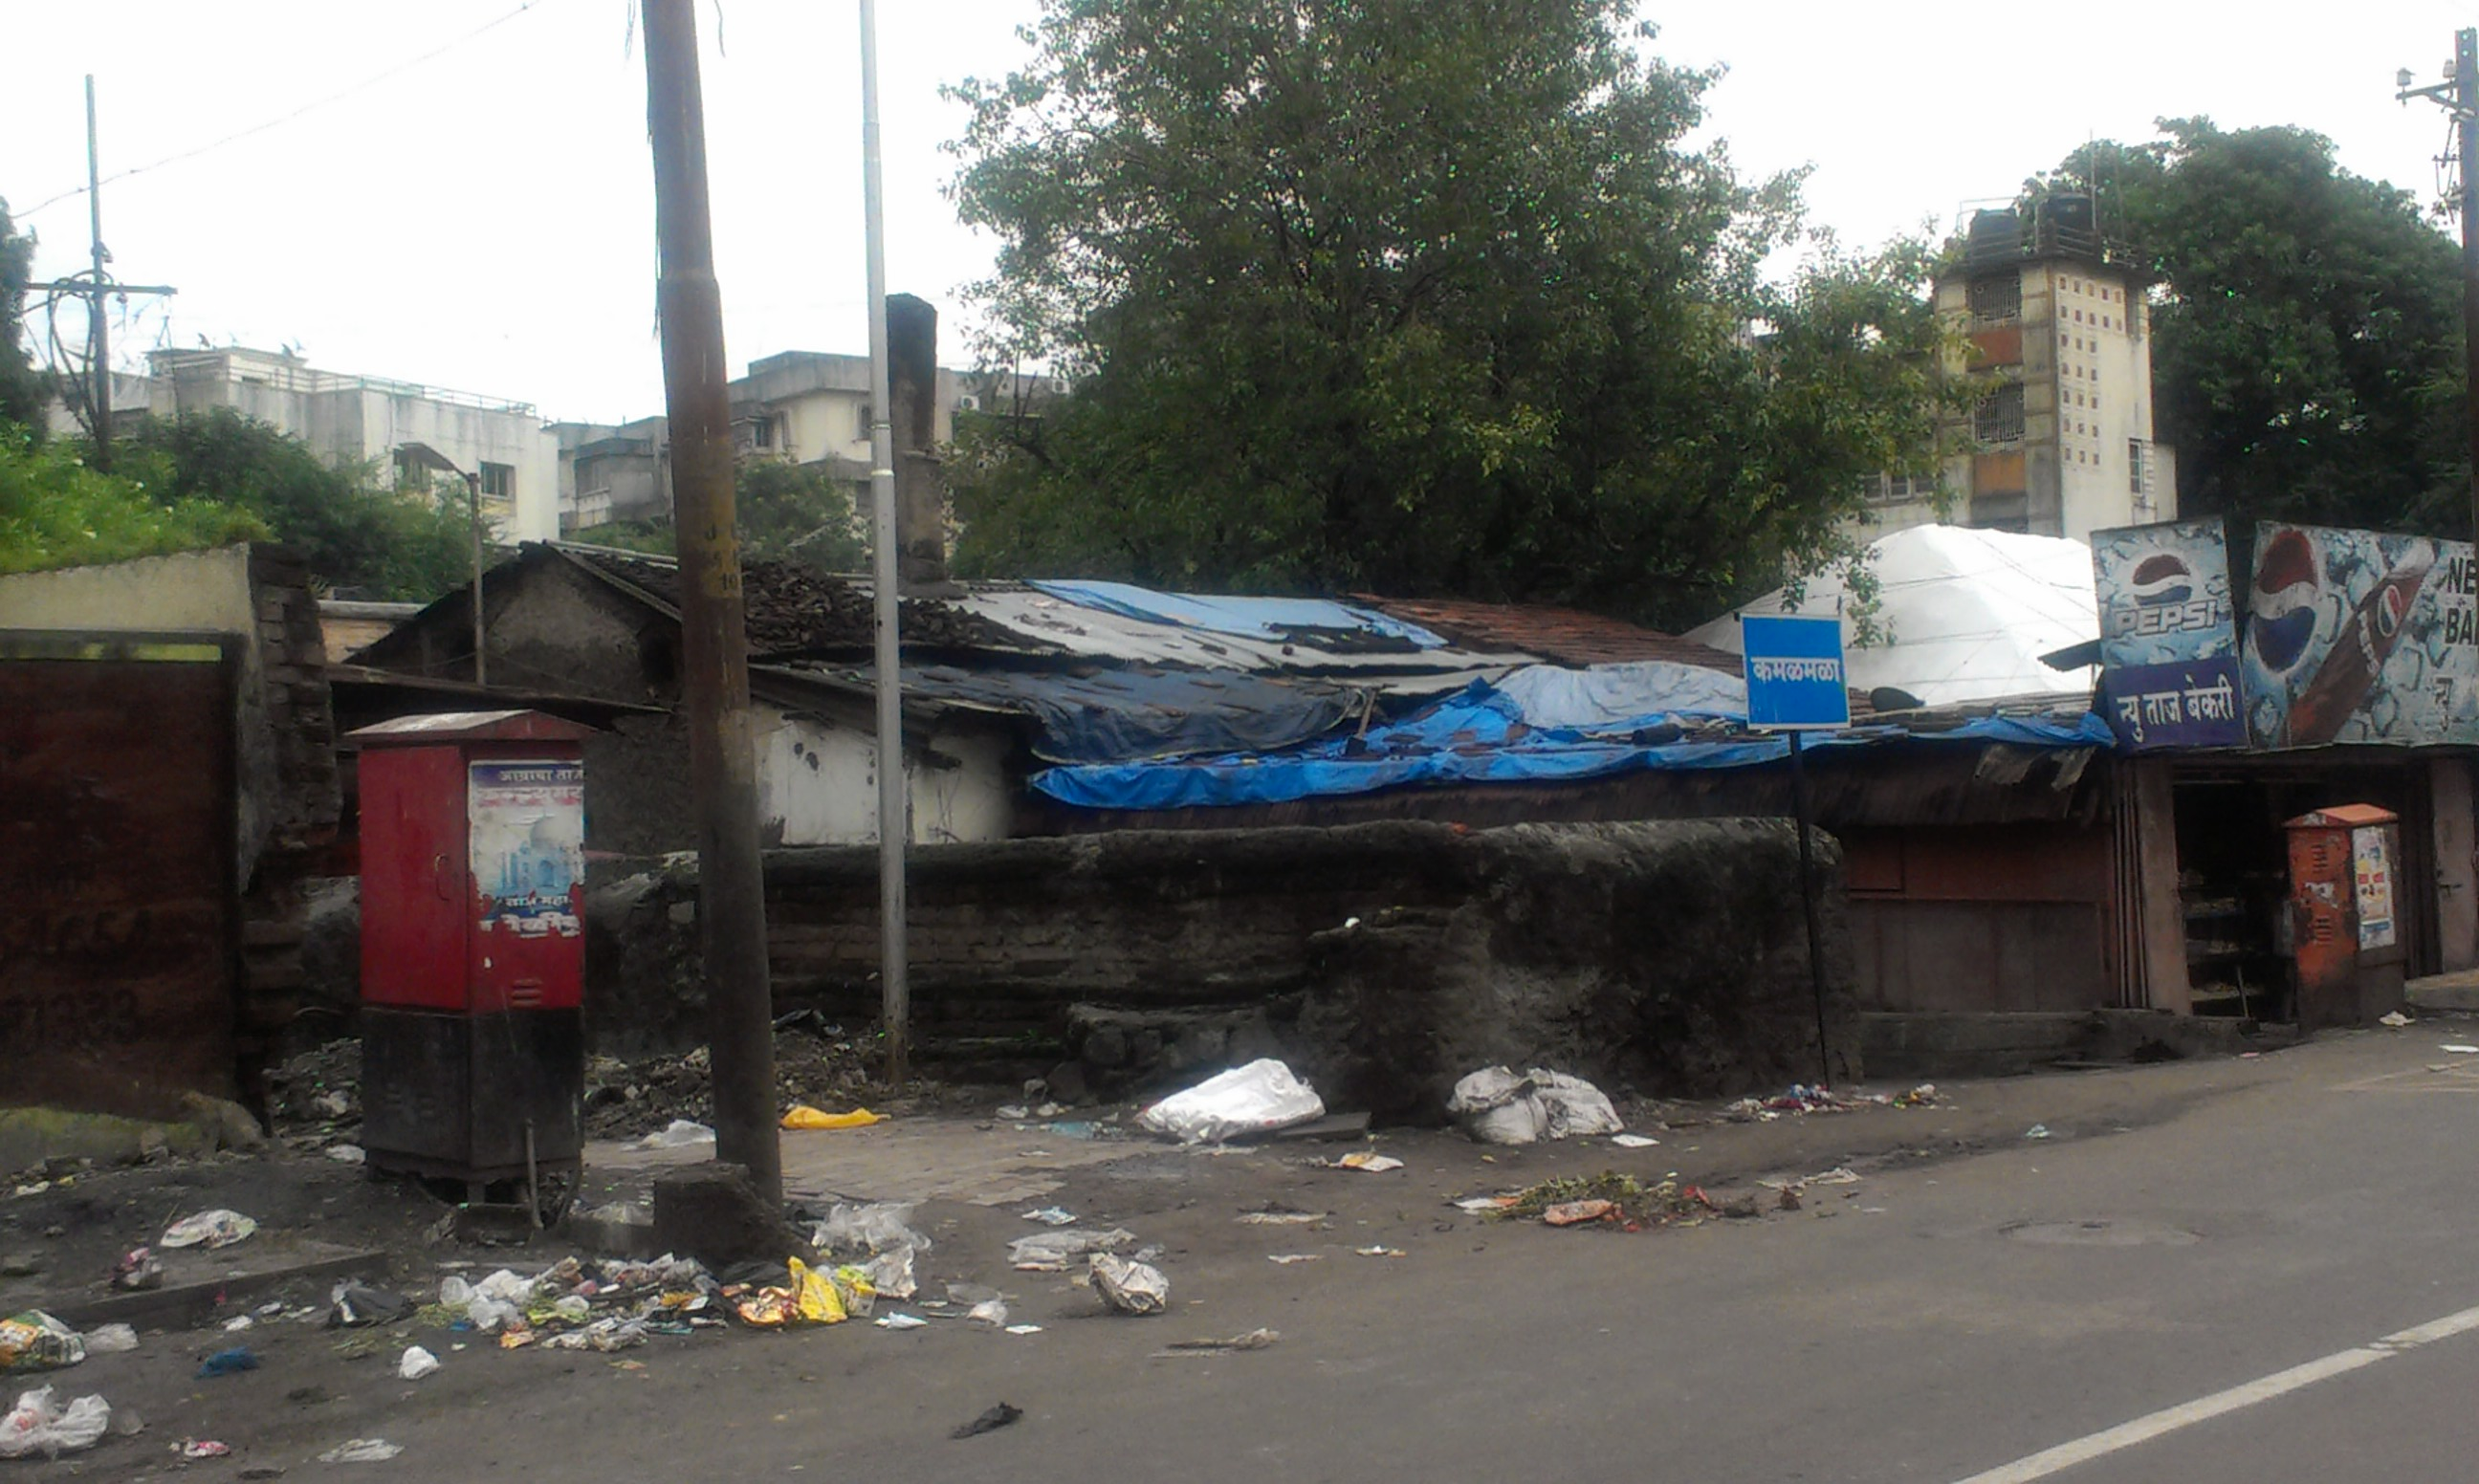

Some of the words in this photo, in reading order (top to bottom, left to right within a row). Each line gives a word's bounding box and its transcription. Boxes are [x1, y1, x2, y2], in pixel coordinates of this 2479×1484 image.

[2110, 597, 2223, 642] PEPSI
[2440, 606, 2474, 651] BA
[1747, 653, 1844, 687] कमळमळा
[2115, 688, 2146, 748] न्यु
[2139, 685, 2185, 731] ताज
[2176, 667, 2240, 728] बेकरी